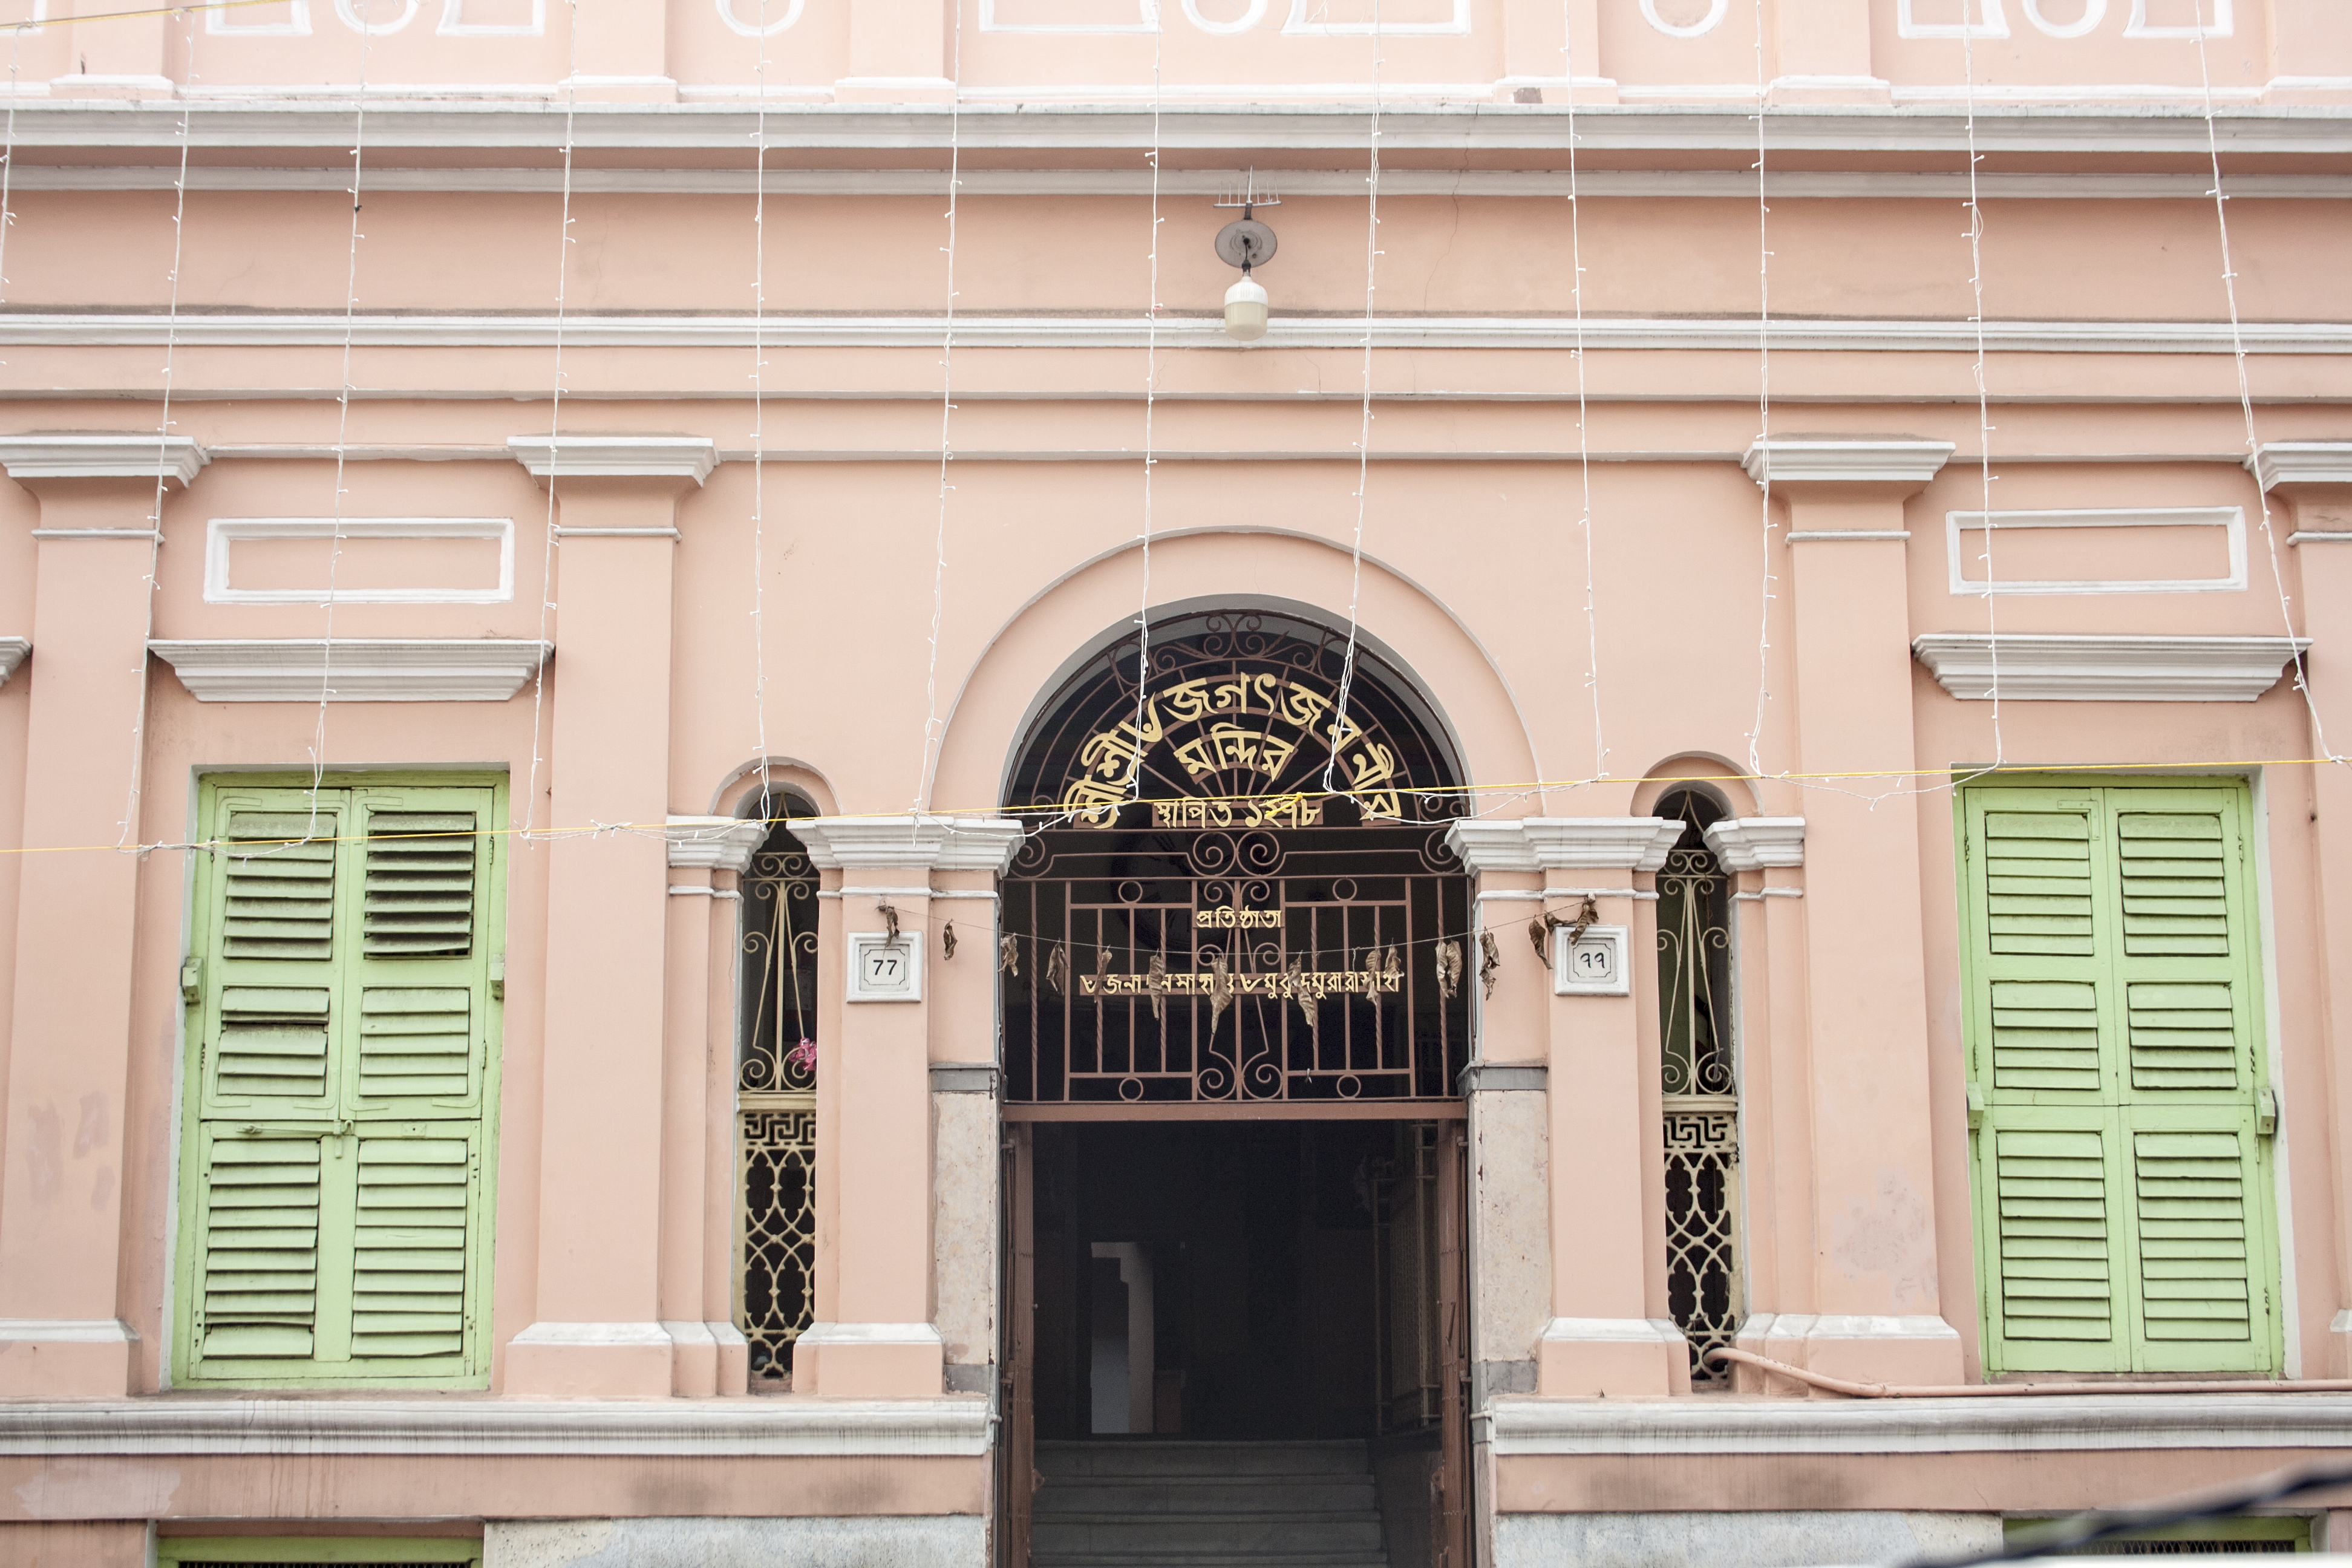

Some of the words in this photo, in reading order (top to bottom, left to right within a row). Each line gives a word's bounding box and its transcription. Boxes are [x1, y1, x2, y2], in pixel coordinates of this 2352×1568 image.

[1167, 711, 1303, 783] মন্দির
[1250, 666, 1404, 826] ৎ জননীর
[1150, 792, 1238, 835] স্থাপিত
[1243, 781, 1323, 832] ১২৭৮
[1192, 898, 1292, 938] প্রতিষ্ঠাতা
[1078, 962, 1221, 999] ভজনাইনসান্স